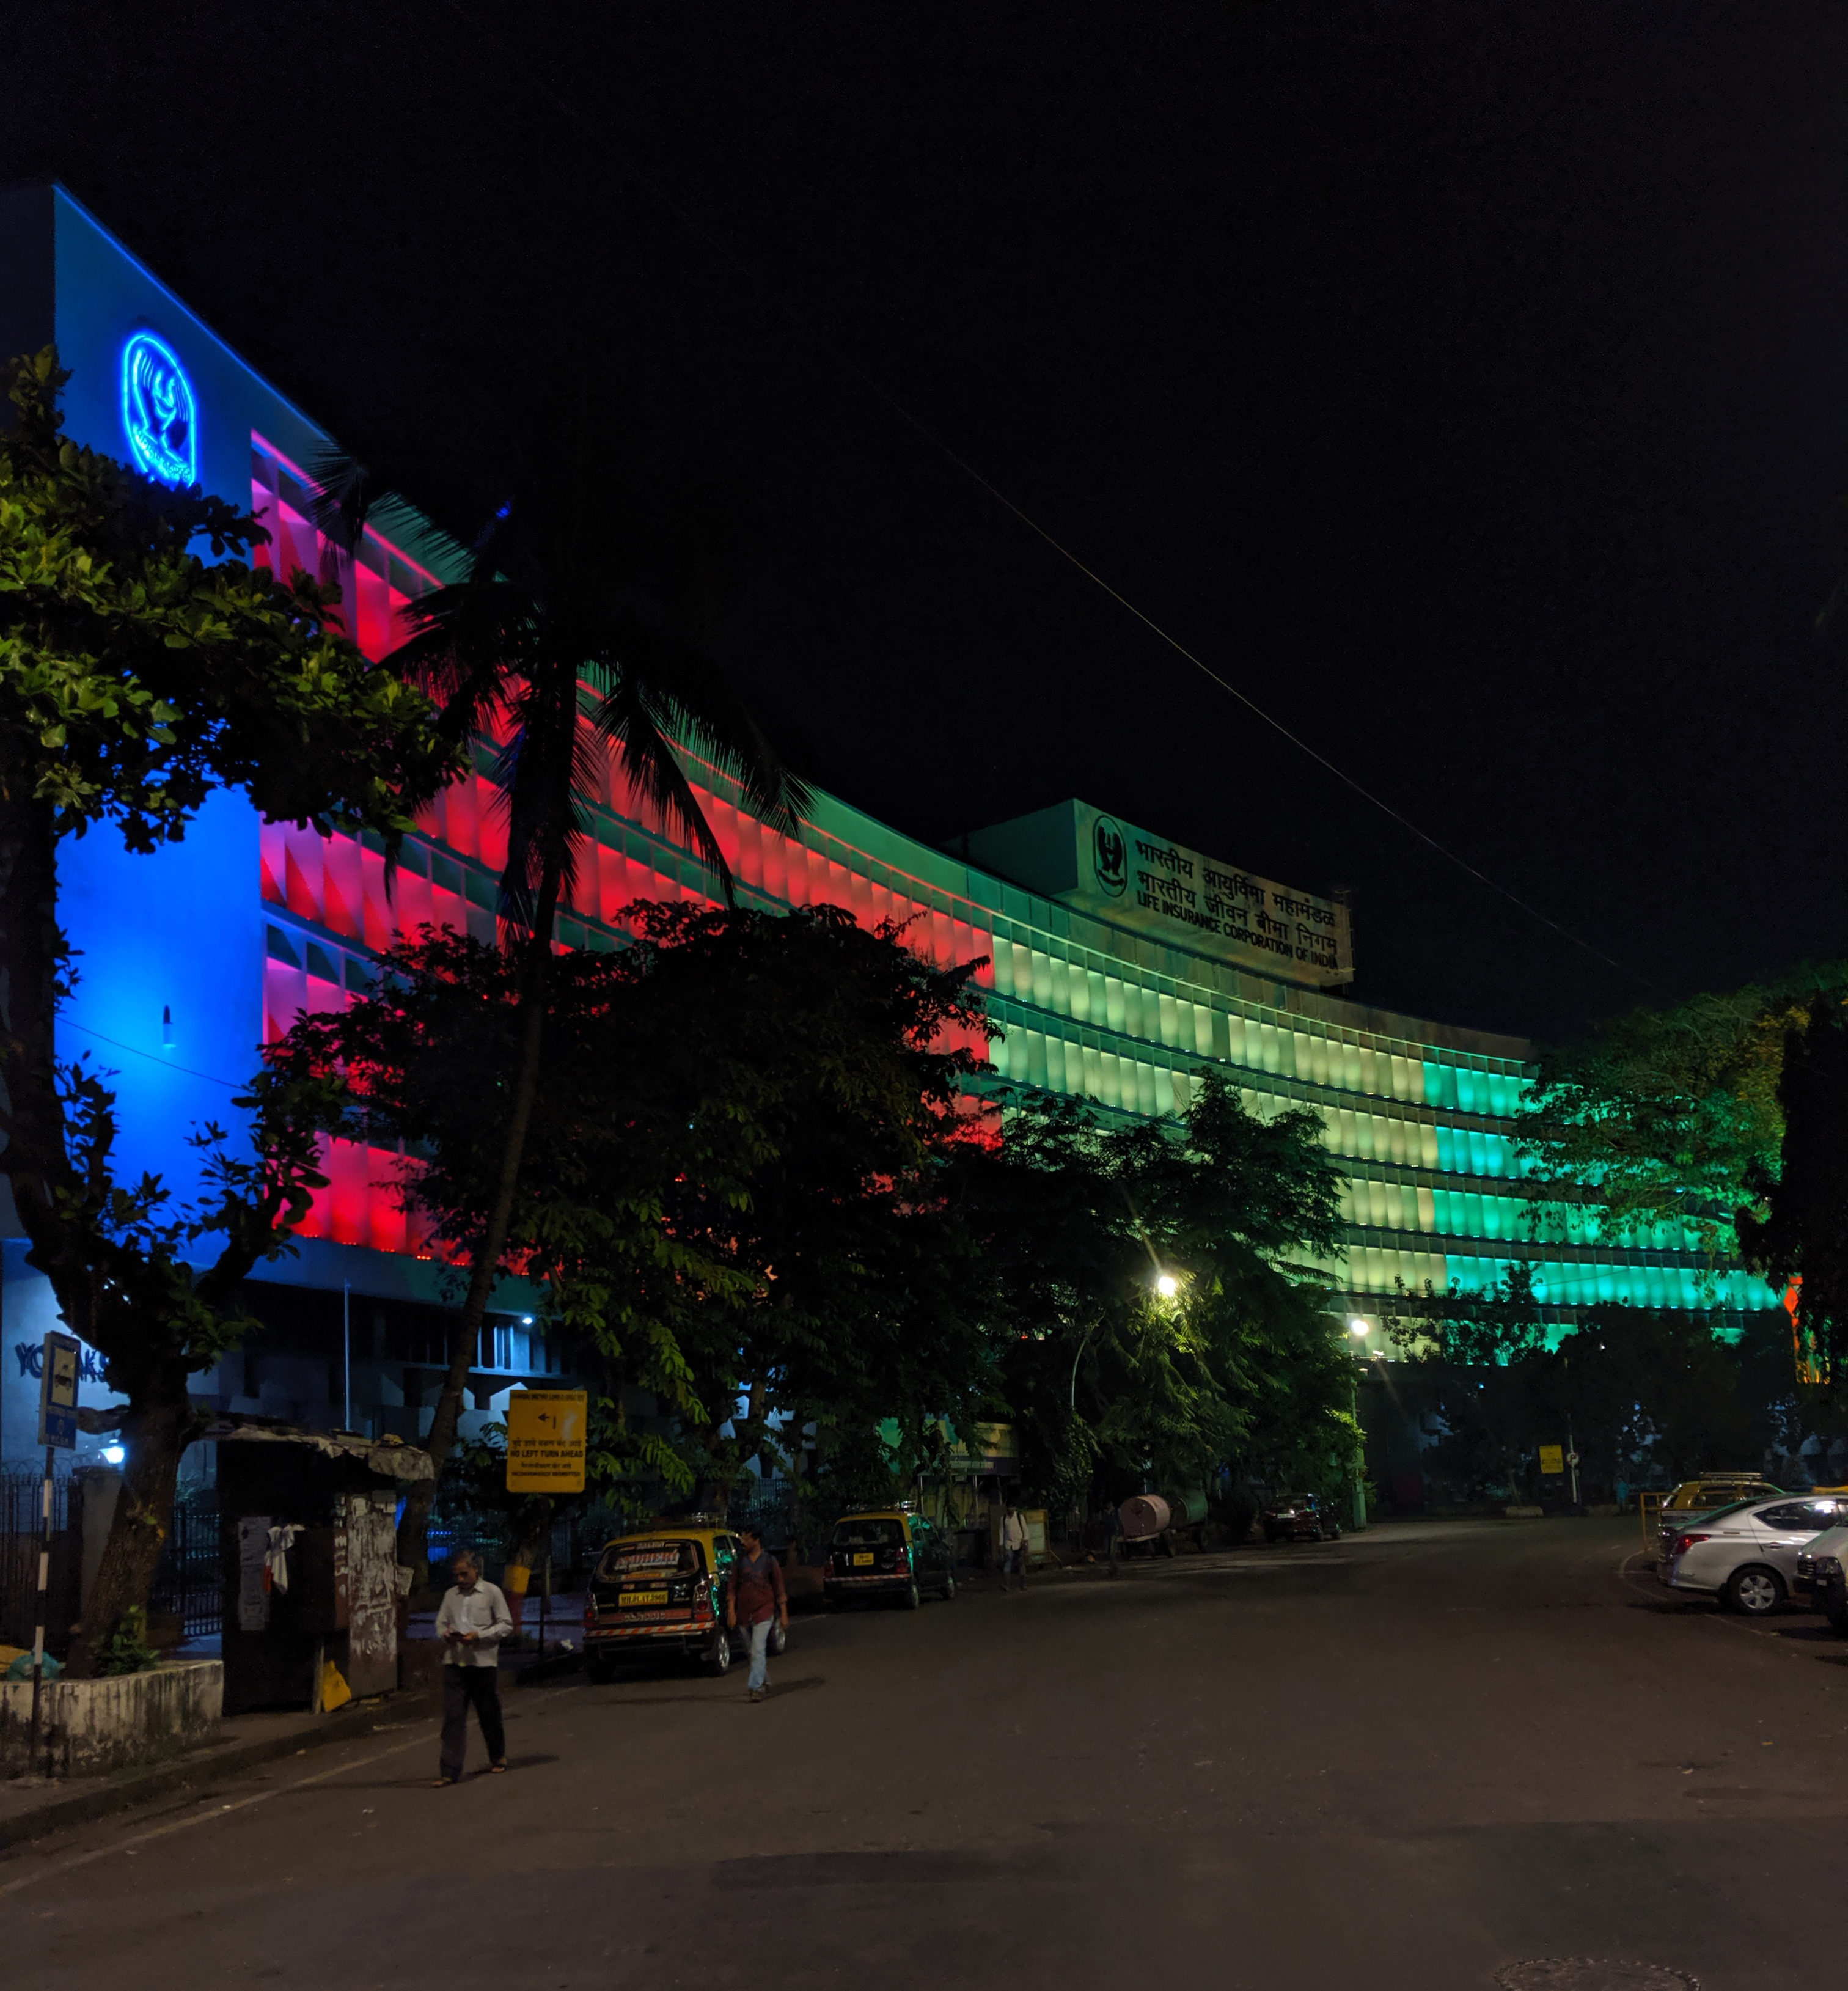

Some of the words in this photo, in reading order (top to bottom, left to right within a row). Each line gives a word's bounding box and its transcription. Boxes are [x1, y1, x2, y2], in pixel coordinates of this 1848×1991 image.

[1130, 837, 1197, 880] भारतीय
[1135, 888, 1162, 914] LIFE
[1133, 866, 1199, 909] भारतीय
[1160, 895, 1225, 936] INSURANCE
[1202, 889, 1250, 928] जीवन
[1198, 865, 1269, 909] आयुर्विमा
[1219, 920, 1296, 960] CORPORATION
[1252, 908, 1292, 943] बीमा
[1291, 942, 1312, 964] OF
[1271, 887, 1338, 928] महामंडळ
[1291, 918, 1339, 955] निगम
[1309, 948, 1341, 973] INDIA
[507, 1446, 524, 1460] NO
[520, 1445, 541, 1459] LEFT
[537, 1445, 563, 1461] TURN
[556, 1444, 588, 1459] AHEAD